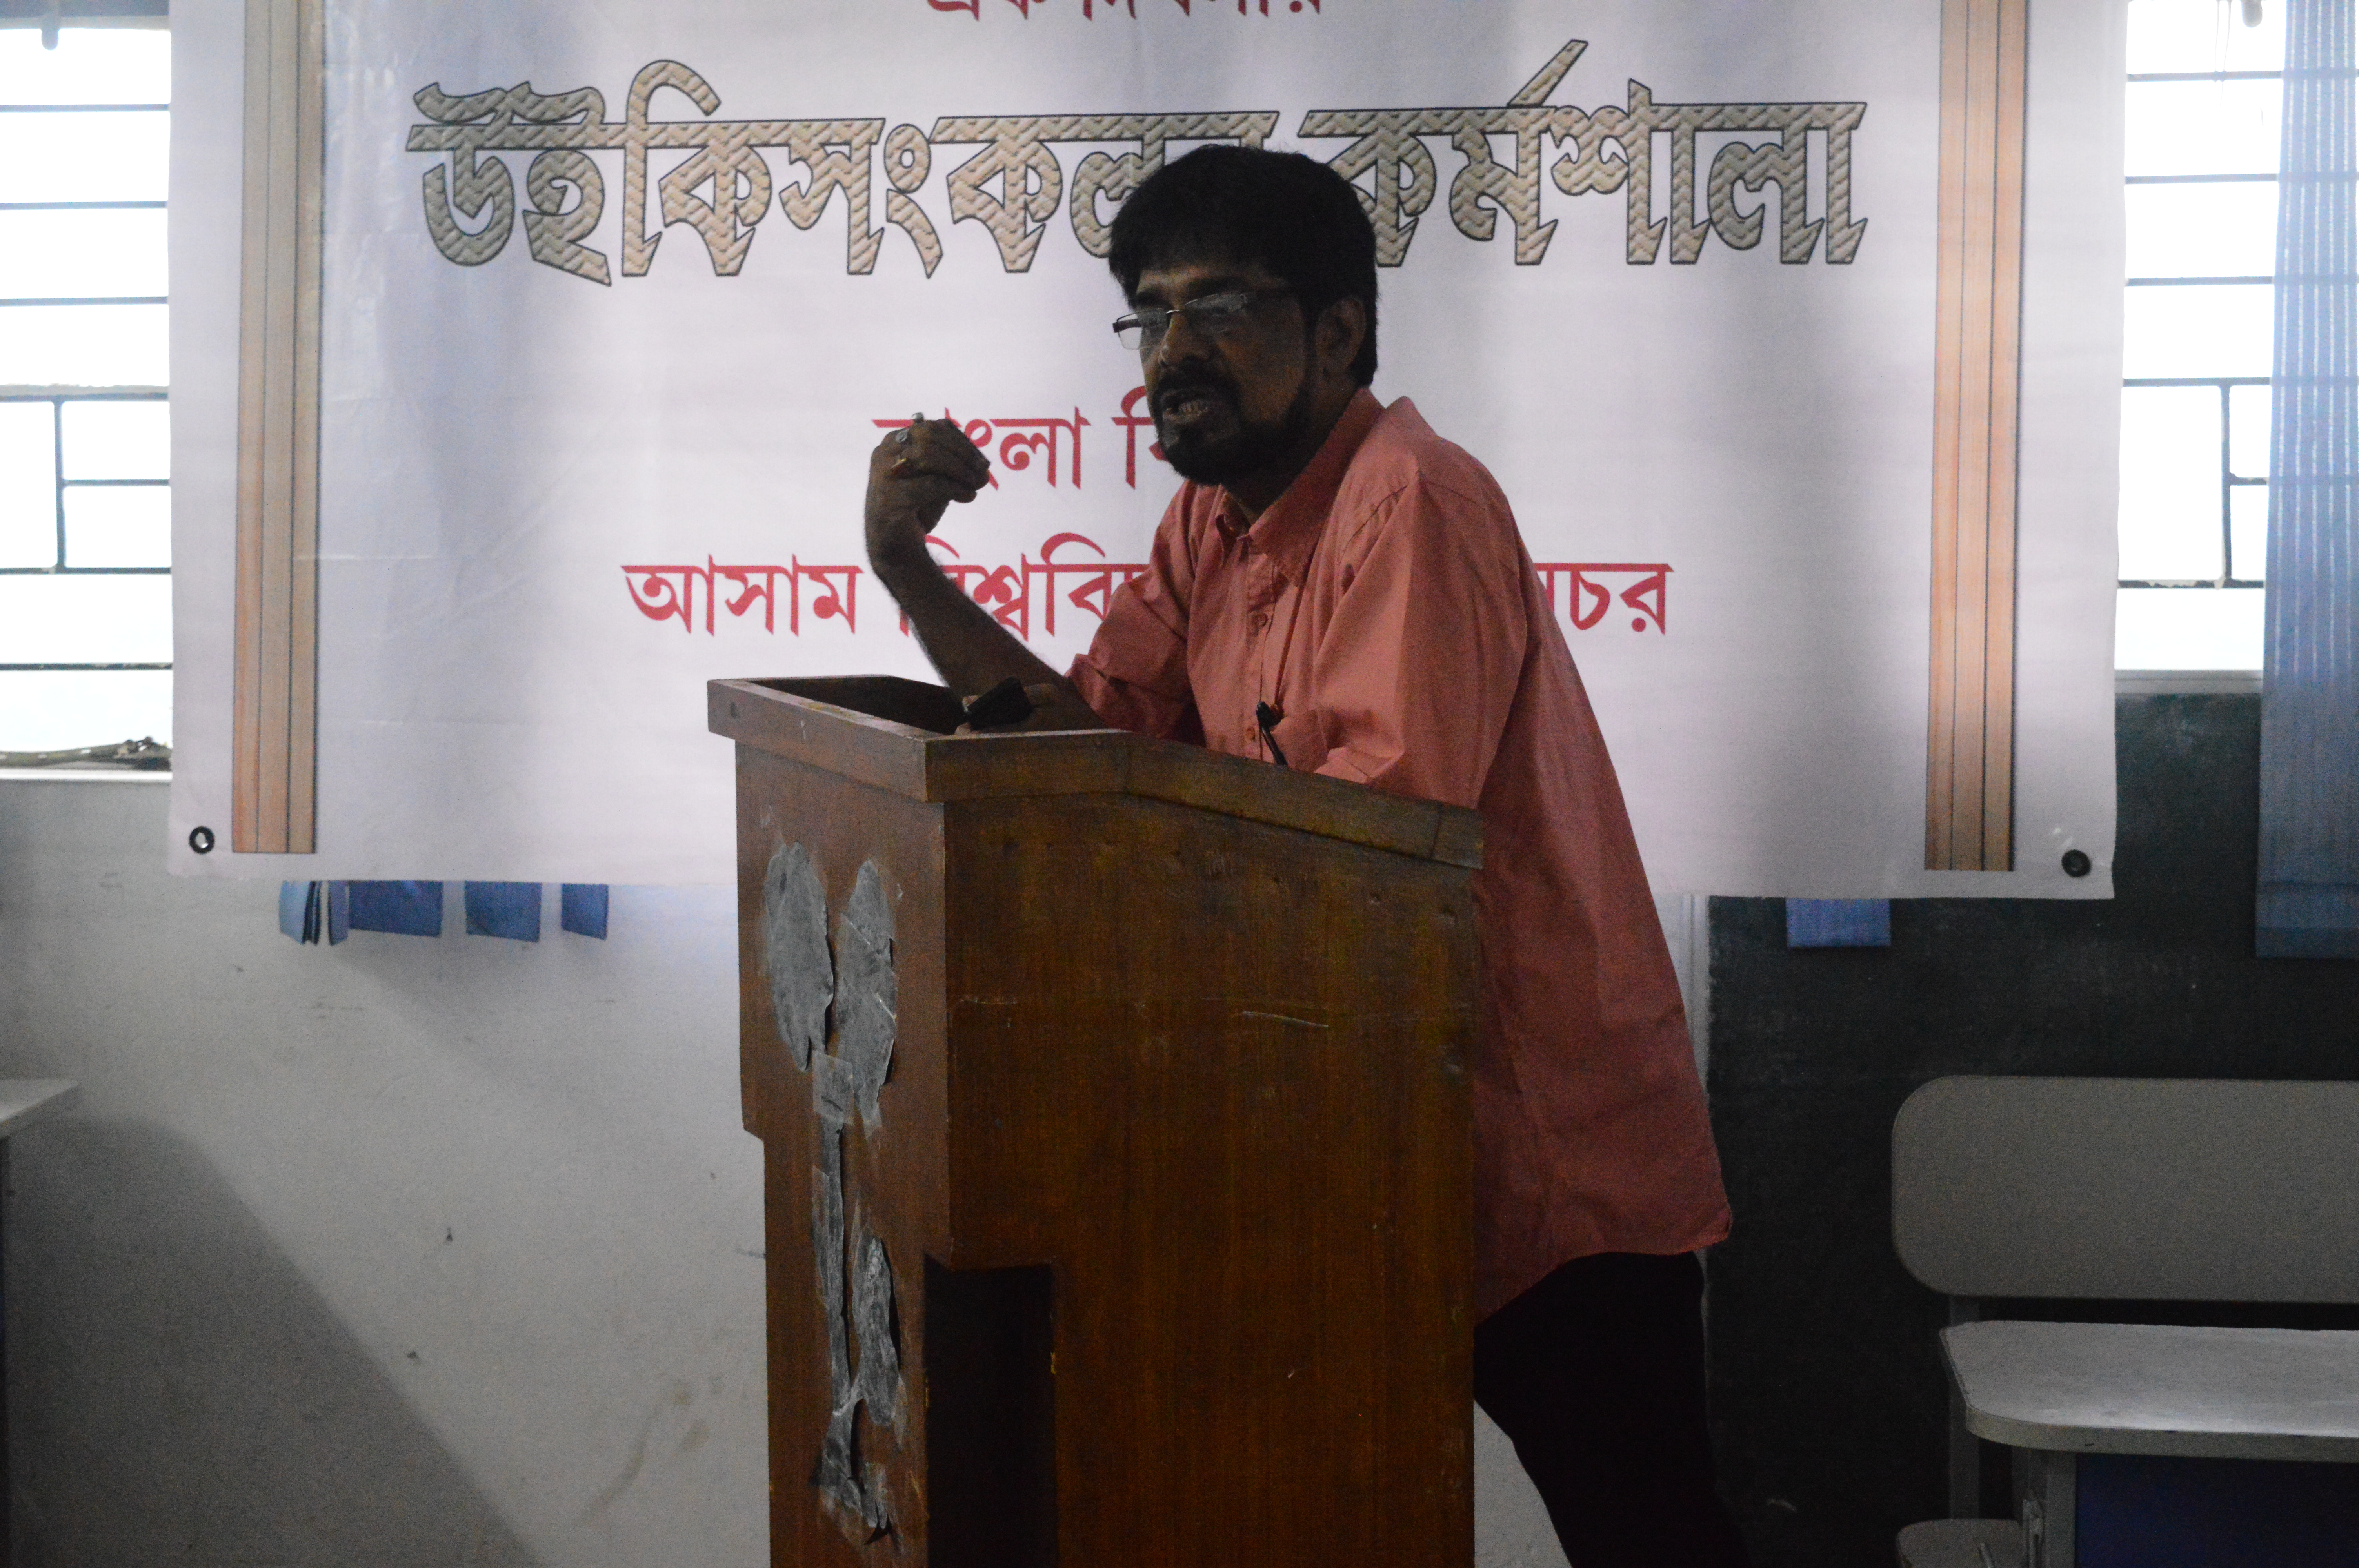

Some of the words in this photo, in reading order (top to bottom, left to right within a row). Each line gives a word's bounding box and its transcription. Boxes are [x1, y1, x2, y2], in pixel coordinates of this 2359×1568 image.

[392, 56, 1153, 289] উইকিসংকল
[1311, 32, 1877, 270] কর্মশালা
[975, 407, 1095, 503] লা
[642, 550, 867, 644] আসাম
[1531, 553, 1677, 637] চর